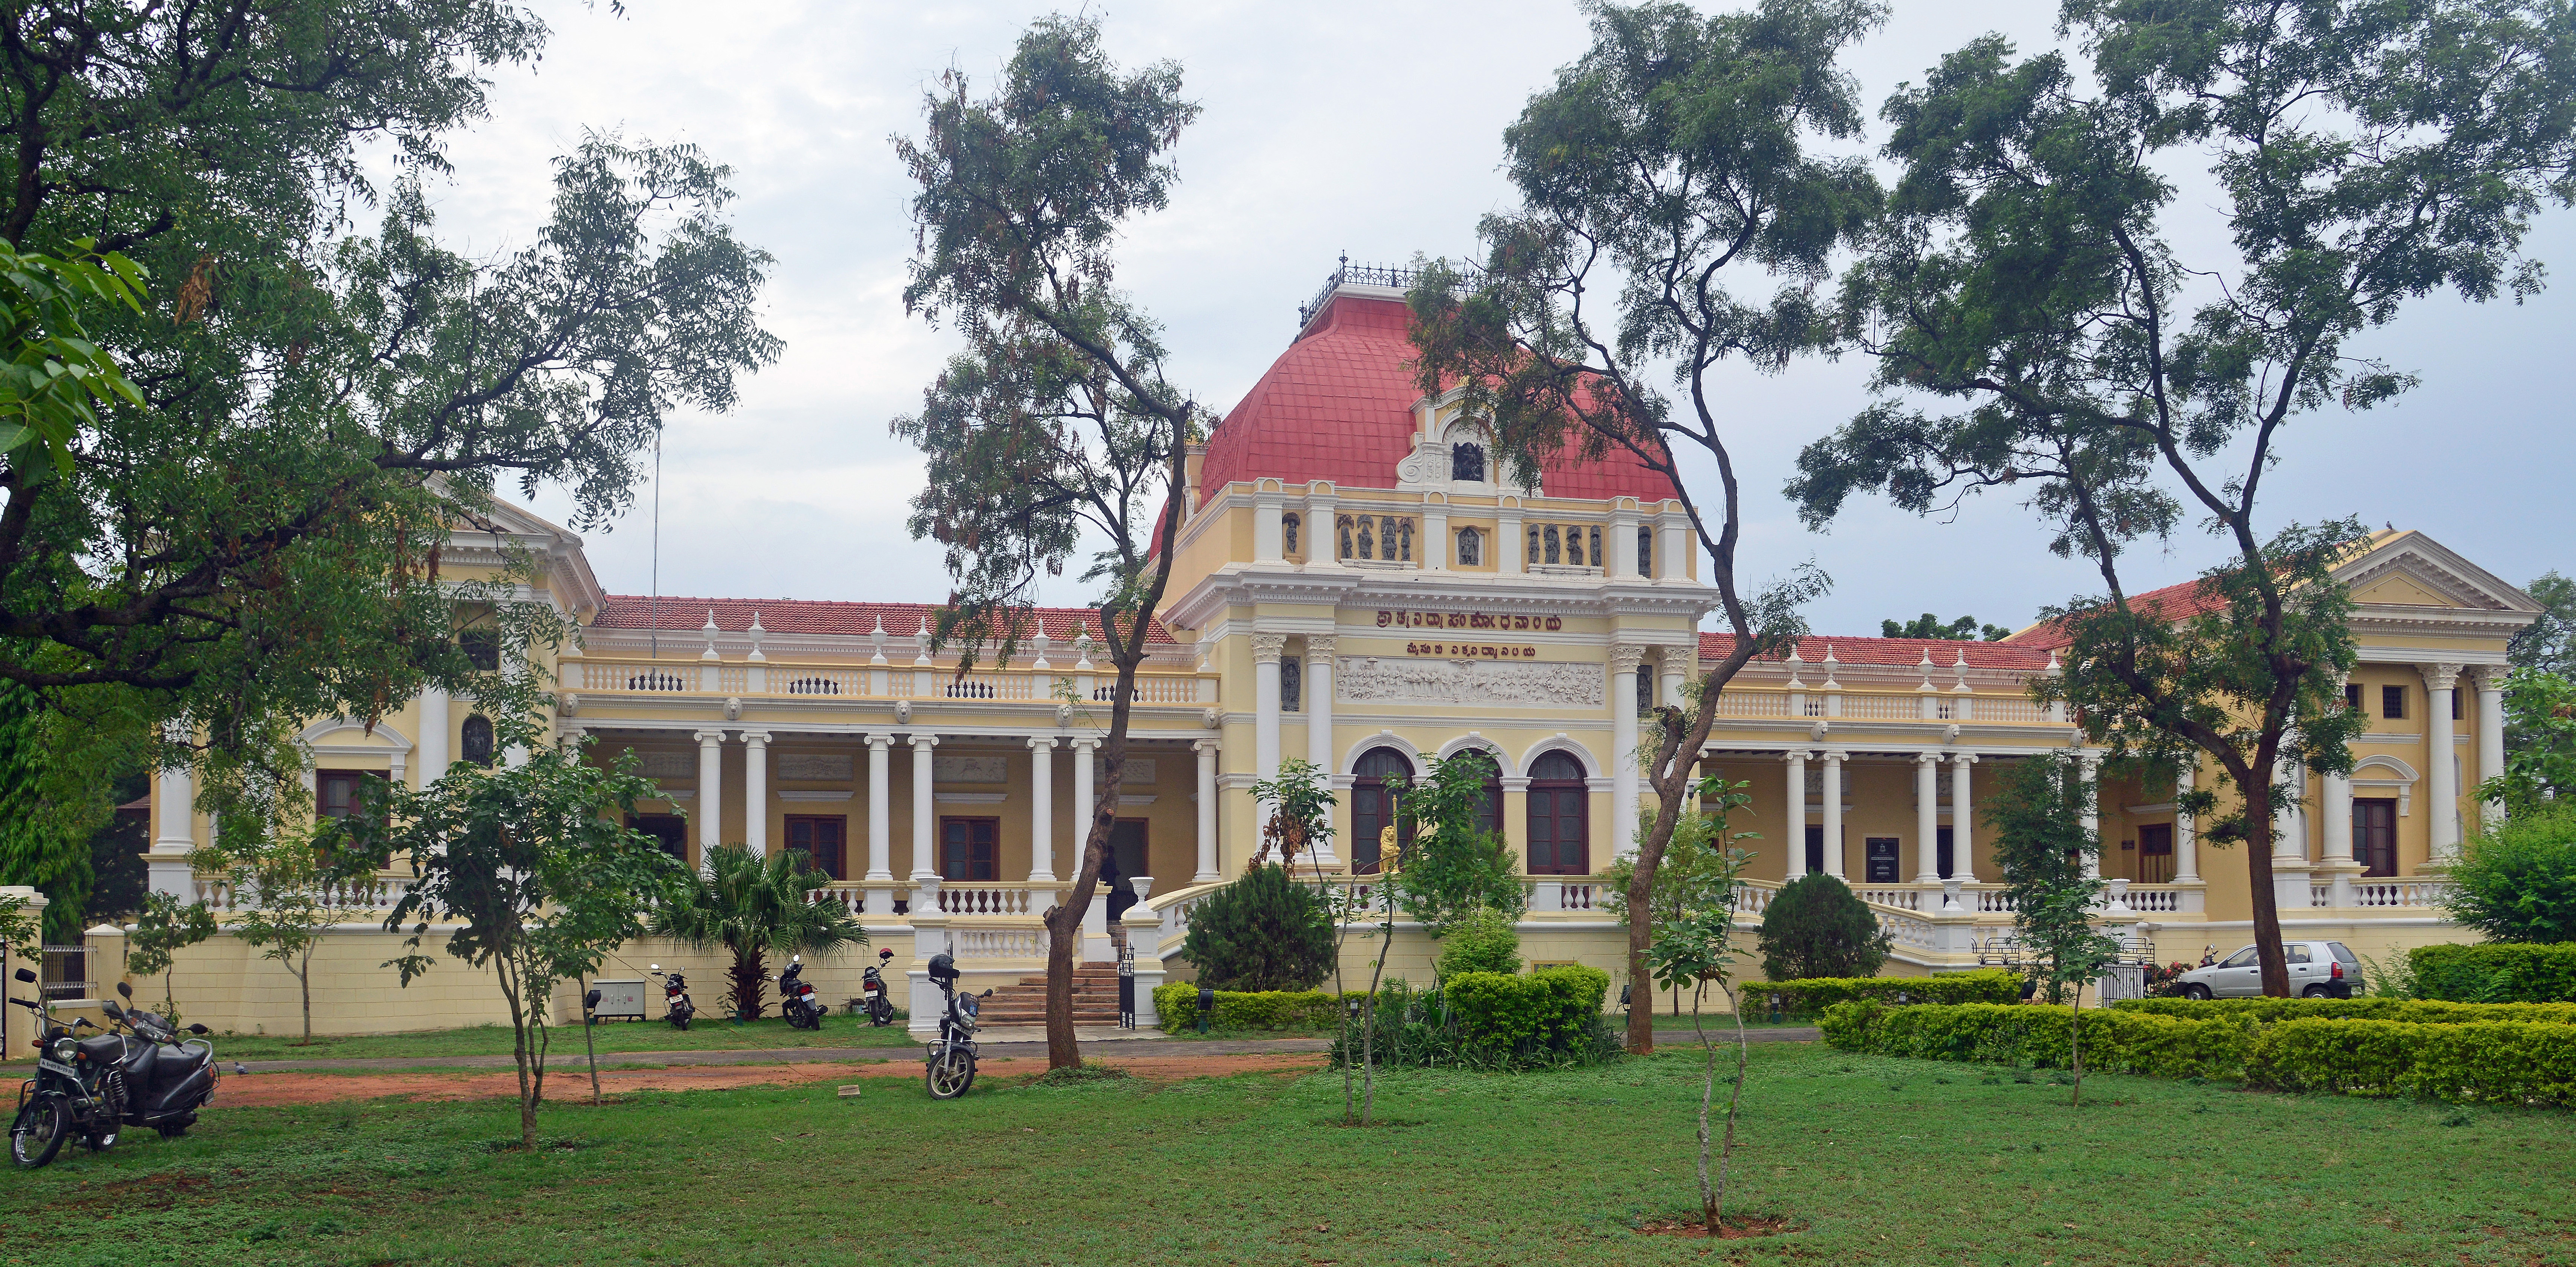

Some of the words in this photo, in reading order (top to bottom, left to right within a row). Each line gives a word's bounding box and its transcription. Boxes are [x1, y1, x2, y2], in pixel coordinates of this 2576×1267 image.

[1376, 606, 1445, 632] ಪ್ರಾಚ್ಯವಿ ದ್ಯಾ
[1443, 607, 1469, 631] ಸ0
[1467, 606, 1564, 631] ಕೋಧನಾಂಯ
[1404, 637, 1446, 657] ಮೈಸೂರು
[1451, 642, 1480, 657] విశృవి
[1478, 644, 1537, 660] ದ್ಯಾನಿಂಯ